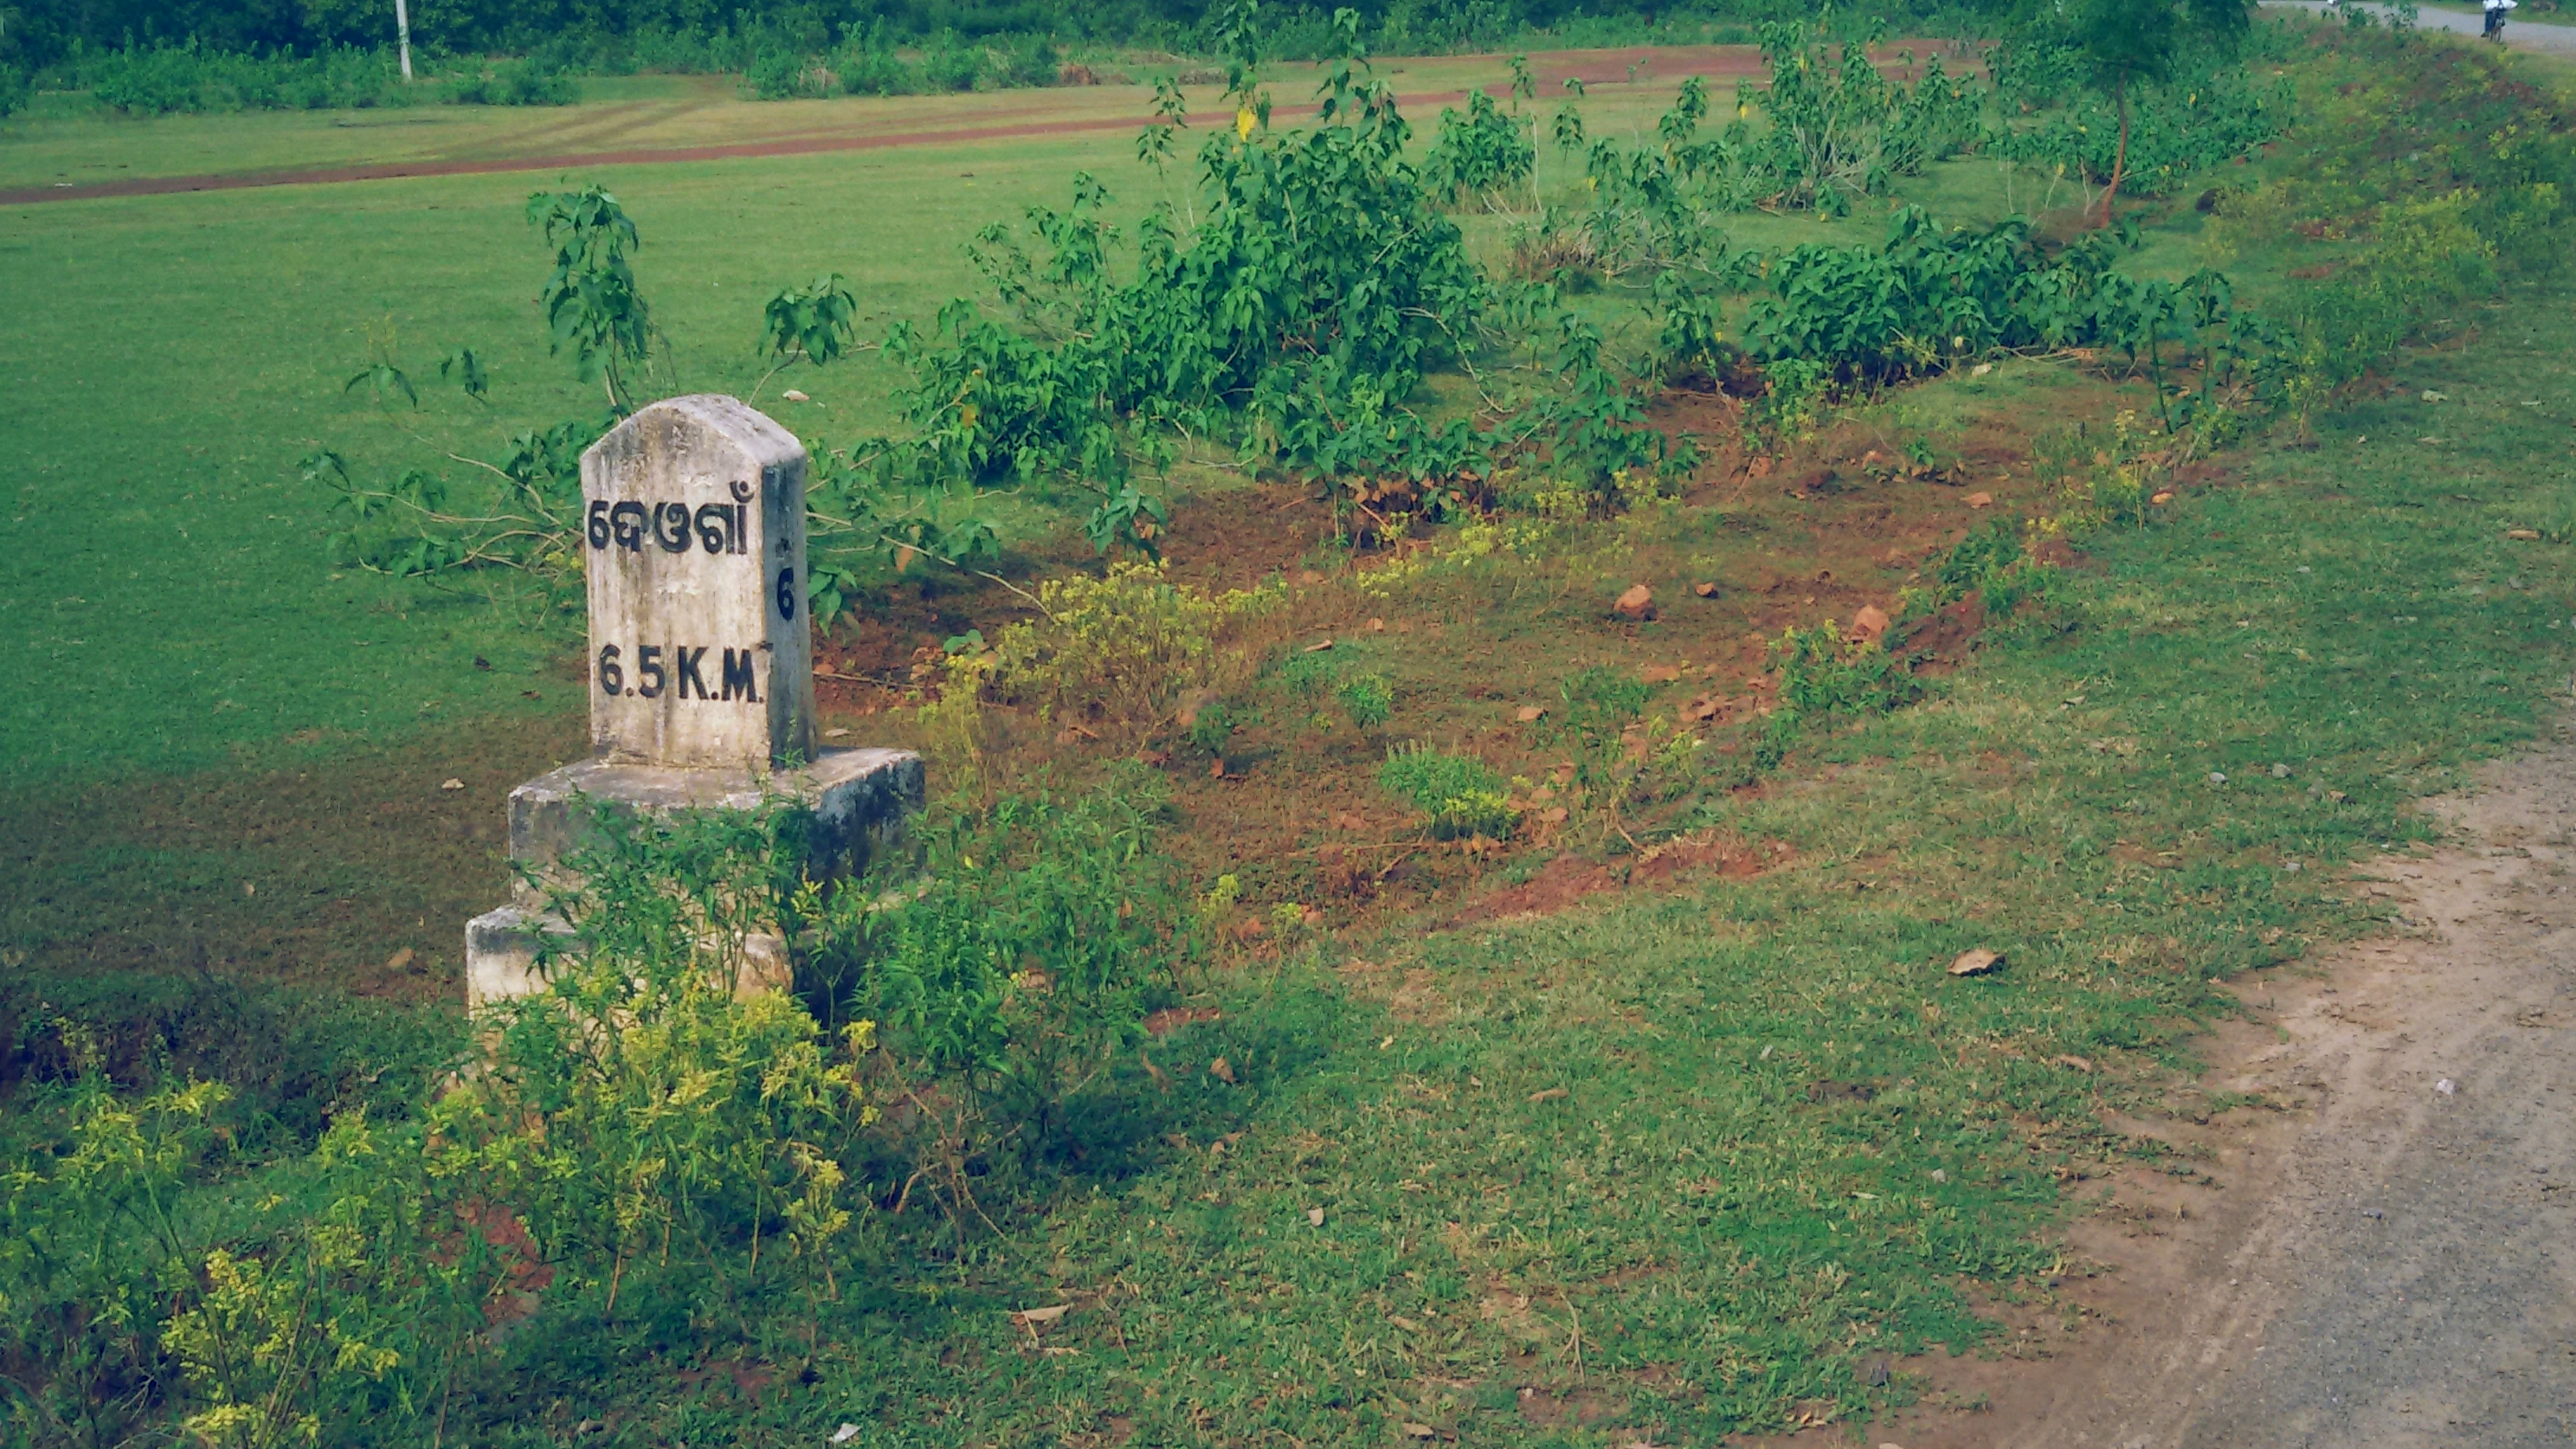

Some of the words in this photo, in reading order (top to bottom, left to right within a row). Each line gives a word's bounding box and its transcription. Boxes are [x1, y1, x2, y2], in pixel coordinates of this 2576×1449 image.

[583, 477, 762, 561] ଦେଓଗାଁ
[591, 634, 769, 707] 6.5K.M.